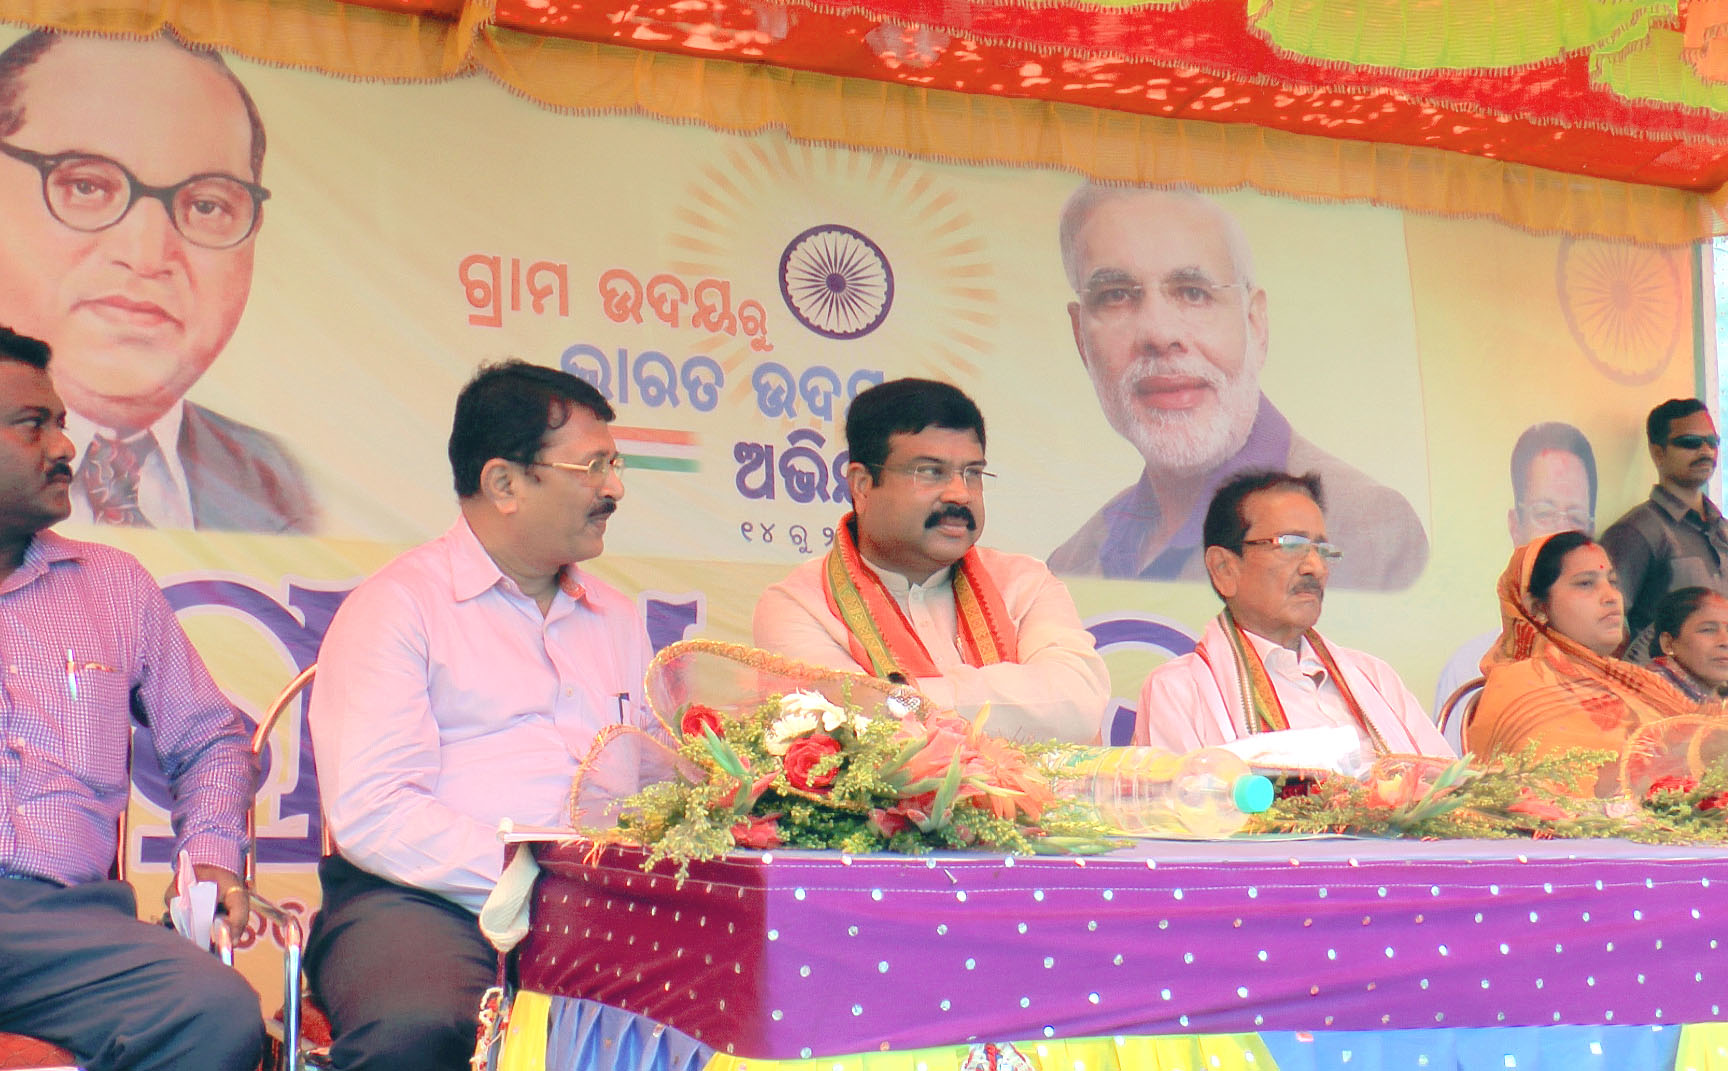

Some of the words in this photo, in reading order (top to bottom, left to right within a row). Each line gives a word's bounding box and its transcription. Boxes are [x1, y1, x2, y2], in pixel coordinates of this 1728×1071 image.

[452, 243, 578, 338] ଗ୍ରାମ
[591, 258, 775, 358] ଉଦୟରୁ
[548, 334, 737, 425] ଭାରତ
[738, 355, 894, 439] ଉଦ
[721, 424, 879, 512] ଅଭି
[735, 515, 818, 558] ୧୪ ରୁ